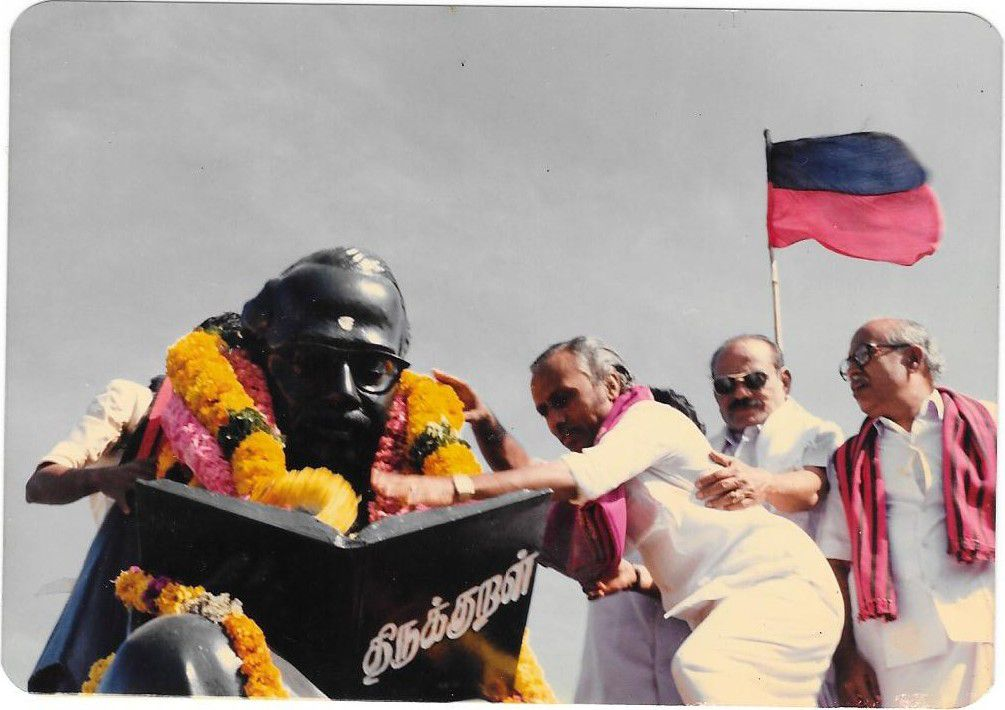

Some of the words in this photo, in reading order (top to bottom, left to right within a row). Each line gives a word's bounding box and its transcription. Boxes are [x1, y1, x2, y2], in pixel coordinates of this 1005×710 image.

[351, 542, 544, 695] திநக்கறள்